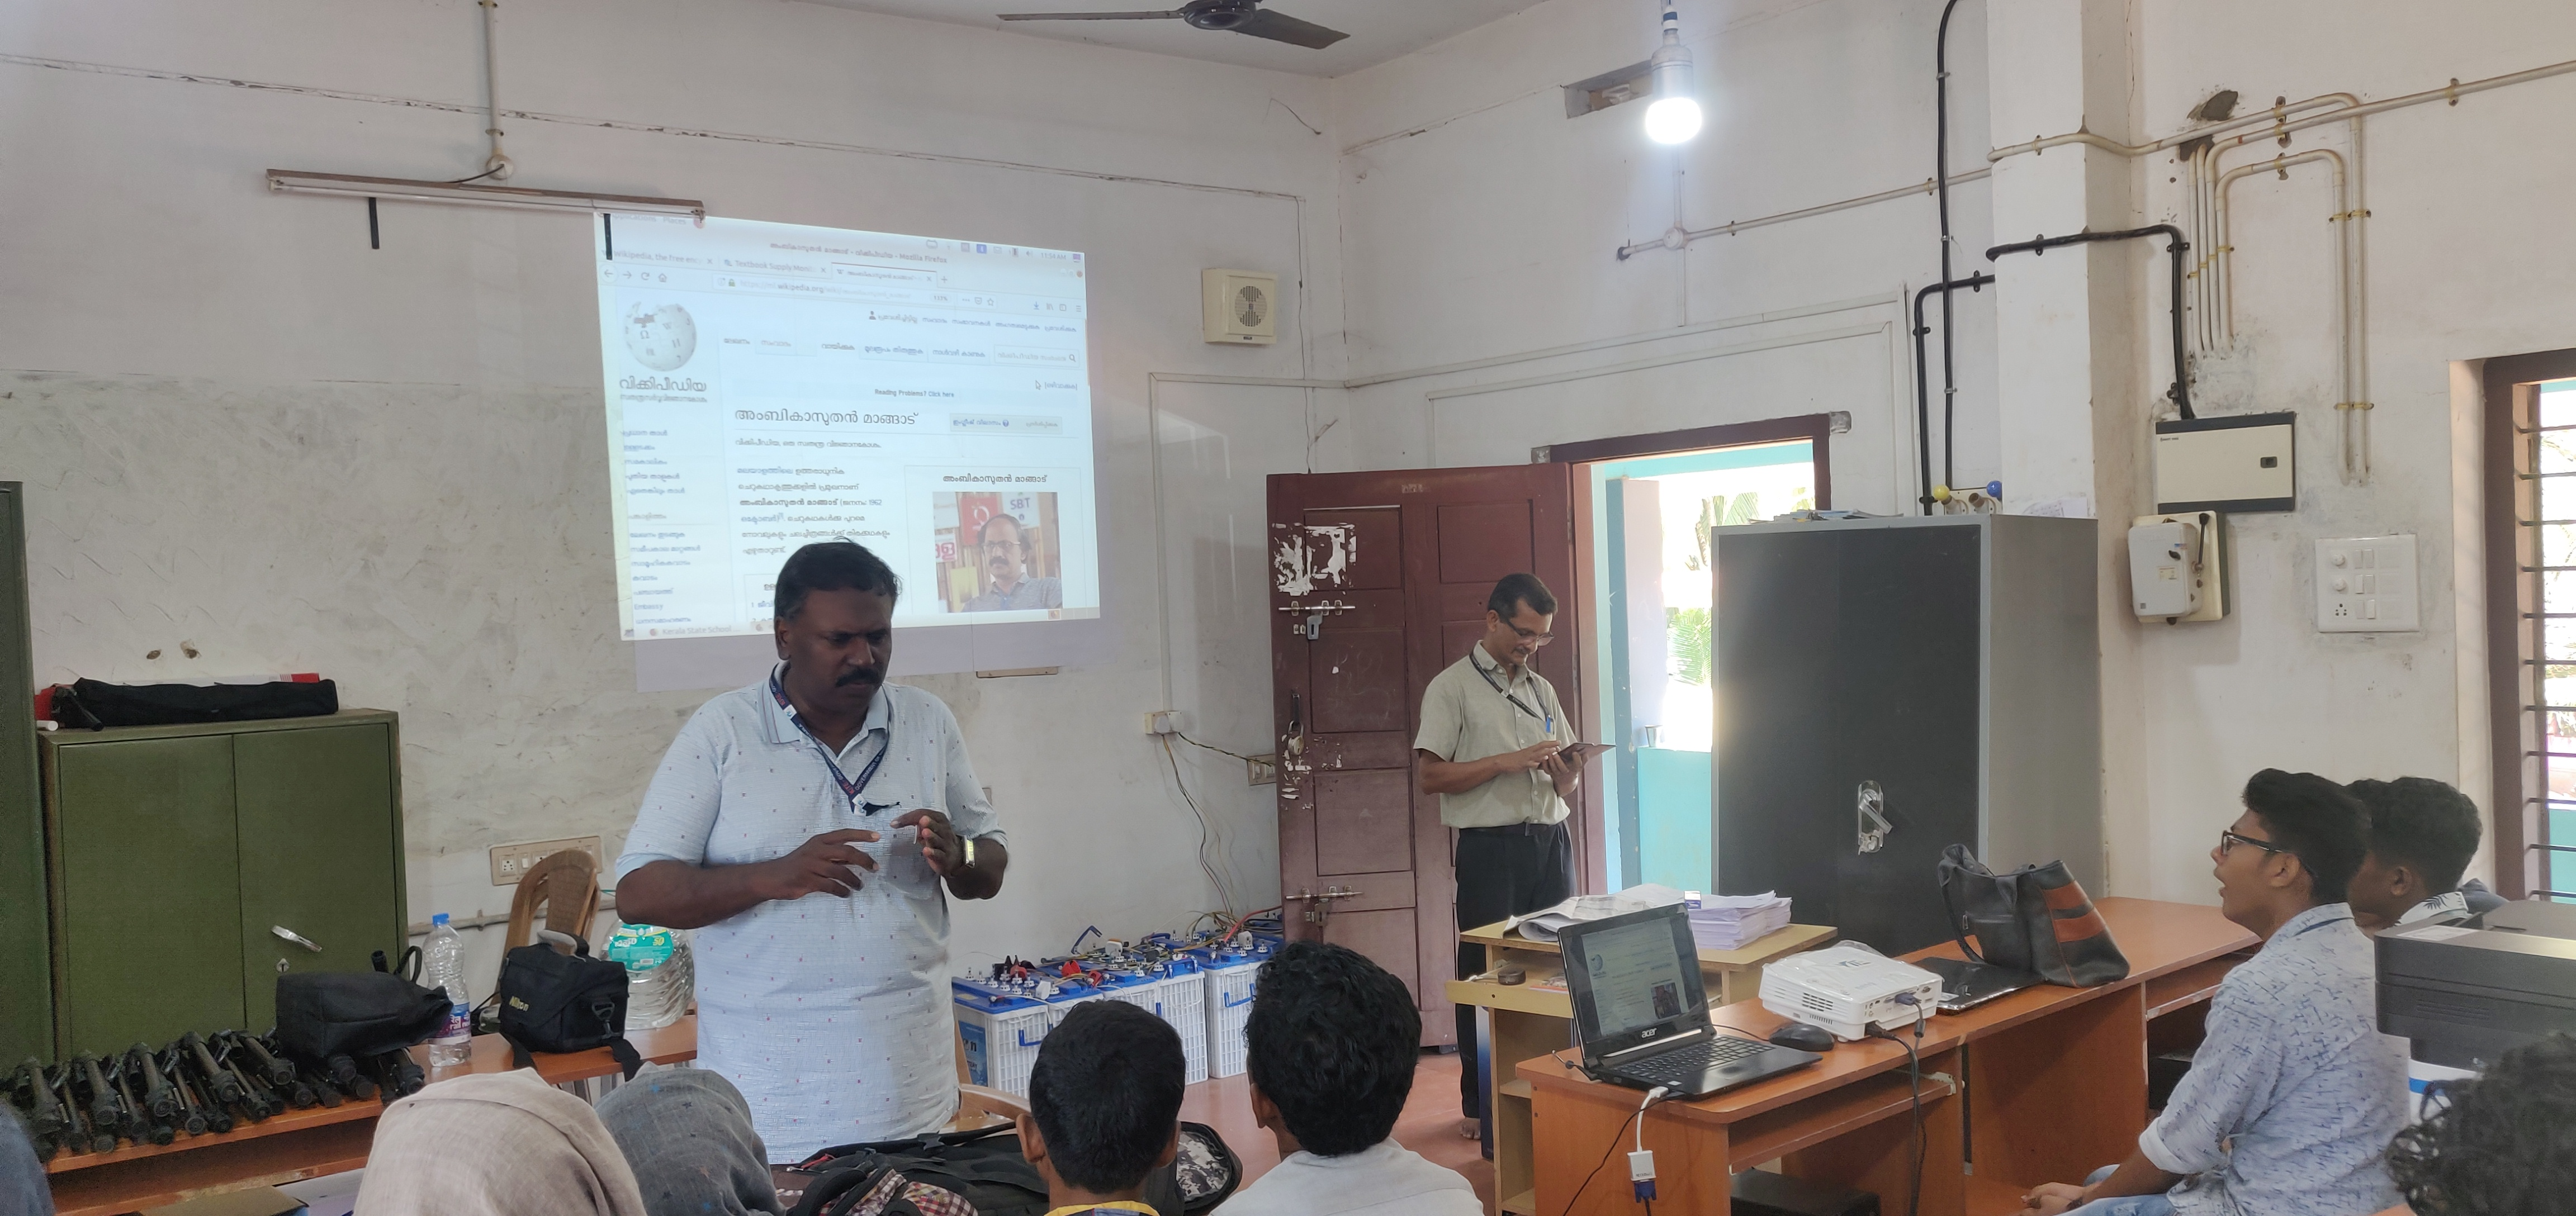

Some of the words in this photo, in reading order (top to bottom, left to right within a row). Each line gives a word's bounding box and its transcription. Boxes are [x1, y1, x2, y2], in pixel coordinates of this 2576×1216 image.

[898, 251, 925, 265] Mozilla
[924, 252, 950, 264] Firefox
[615, 369, 710, 396] വിക്കിപീഡിയ
[871, 385, 899, 398] Reading
[897, 387, 926, 400] Problems?
[927, 388, 943, 401] Click
[938, 391, 956, 400] here
[733, 404, 860, 427] അംബികാസൂതൻ
[861, 411, 921, 429] മാങ്ങാട്
[793, 464, 849, 478] ഉത്തരാധുനിക
[938, 471, 1014, 486] അംബികാസൂതൻ
[1011, 474, 1049, 487] മാങ്ങാട്
[813, 482, 861, 495] പ്രമുഖനാണ്
[737, 495, 808, 509] അംബികാസൂതൻ
[806, 497, 841, 509] മാങ്ങാട്